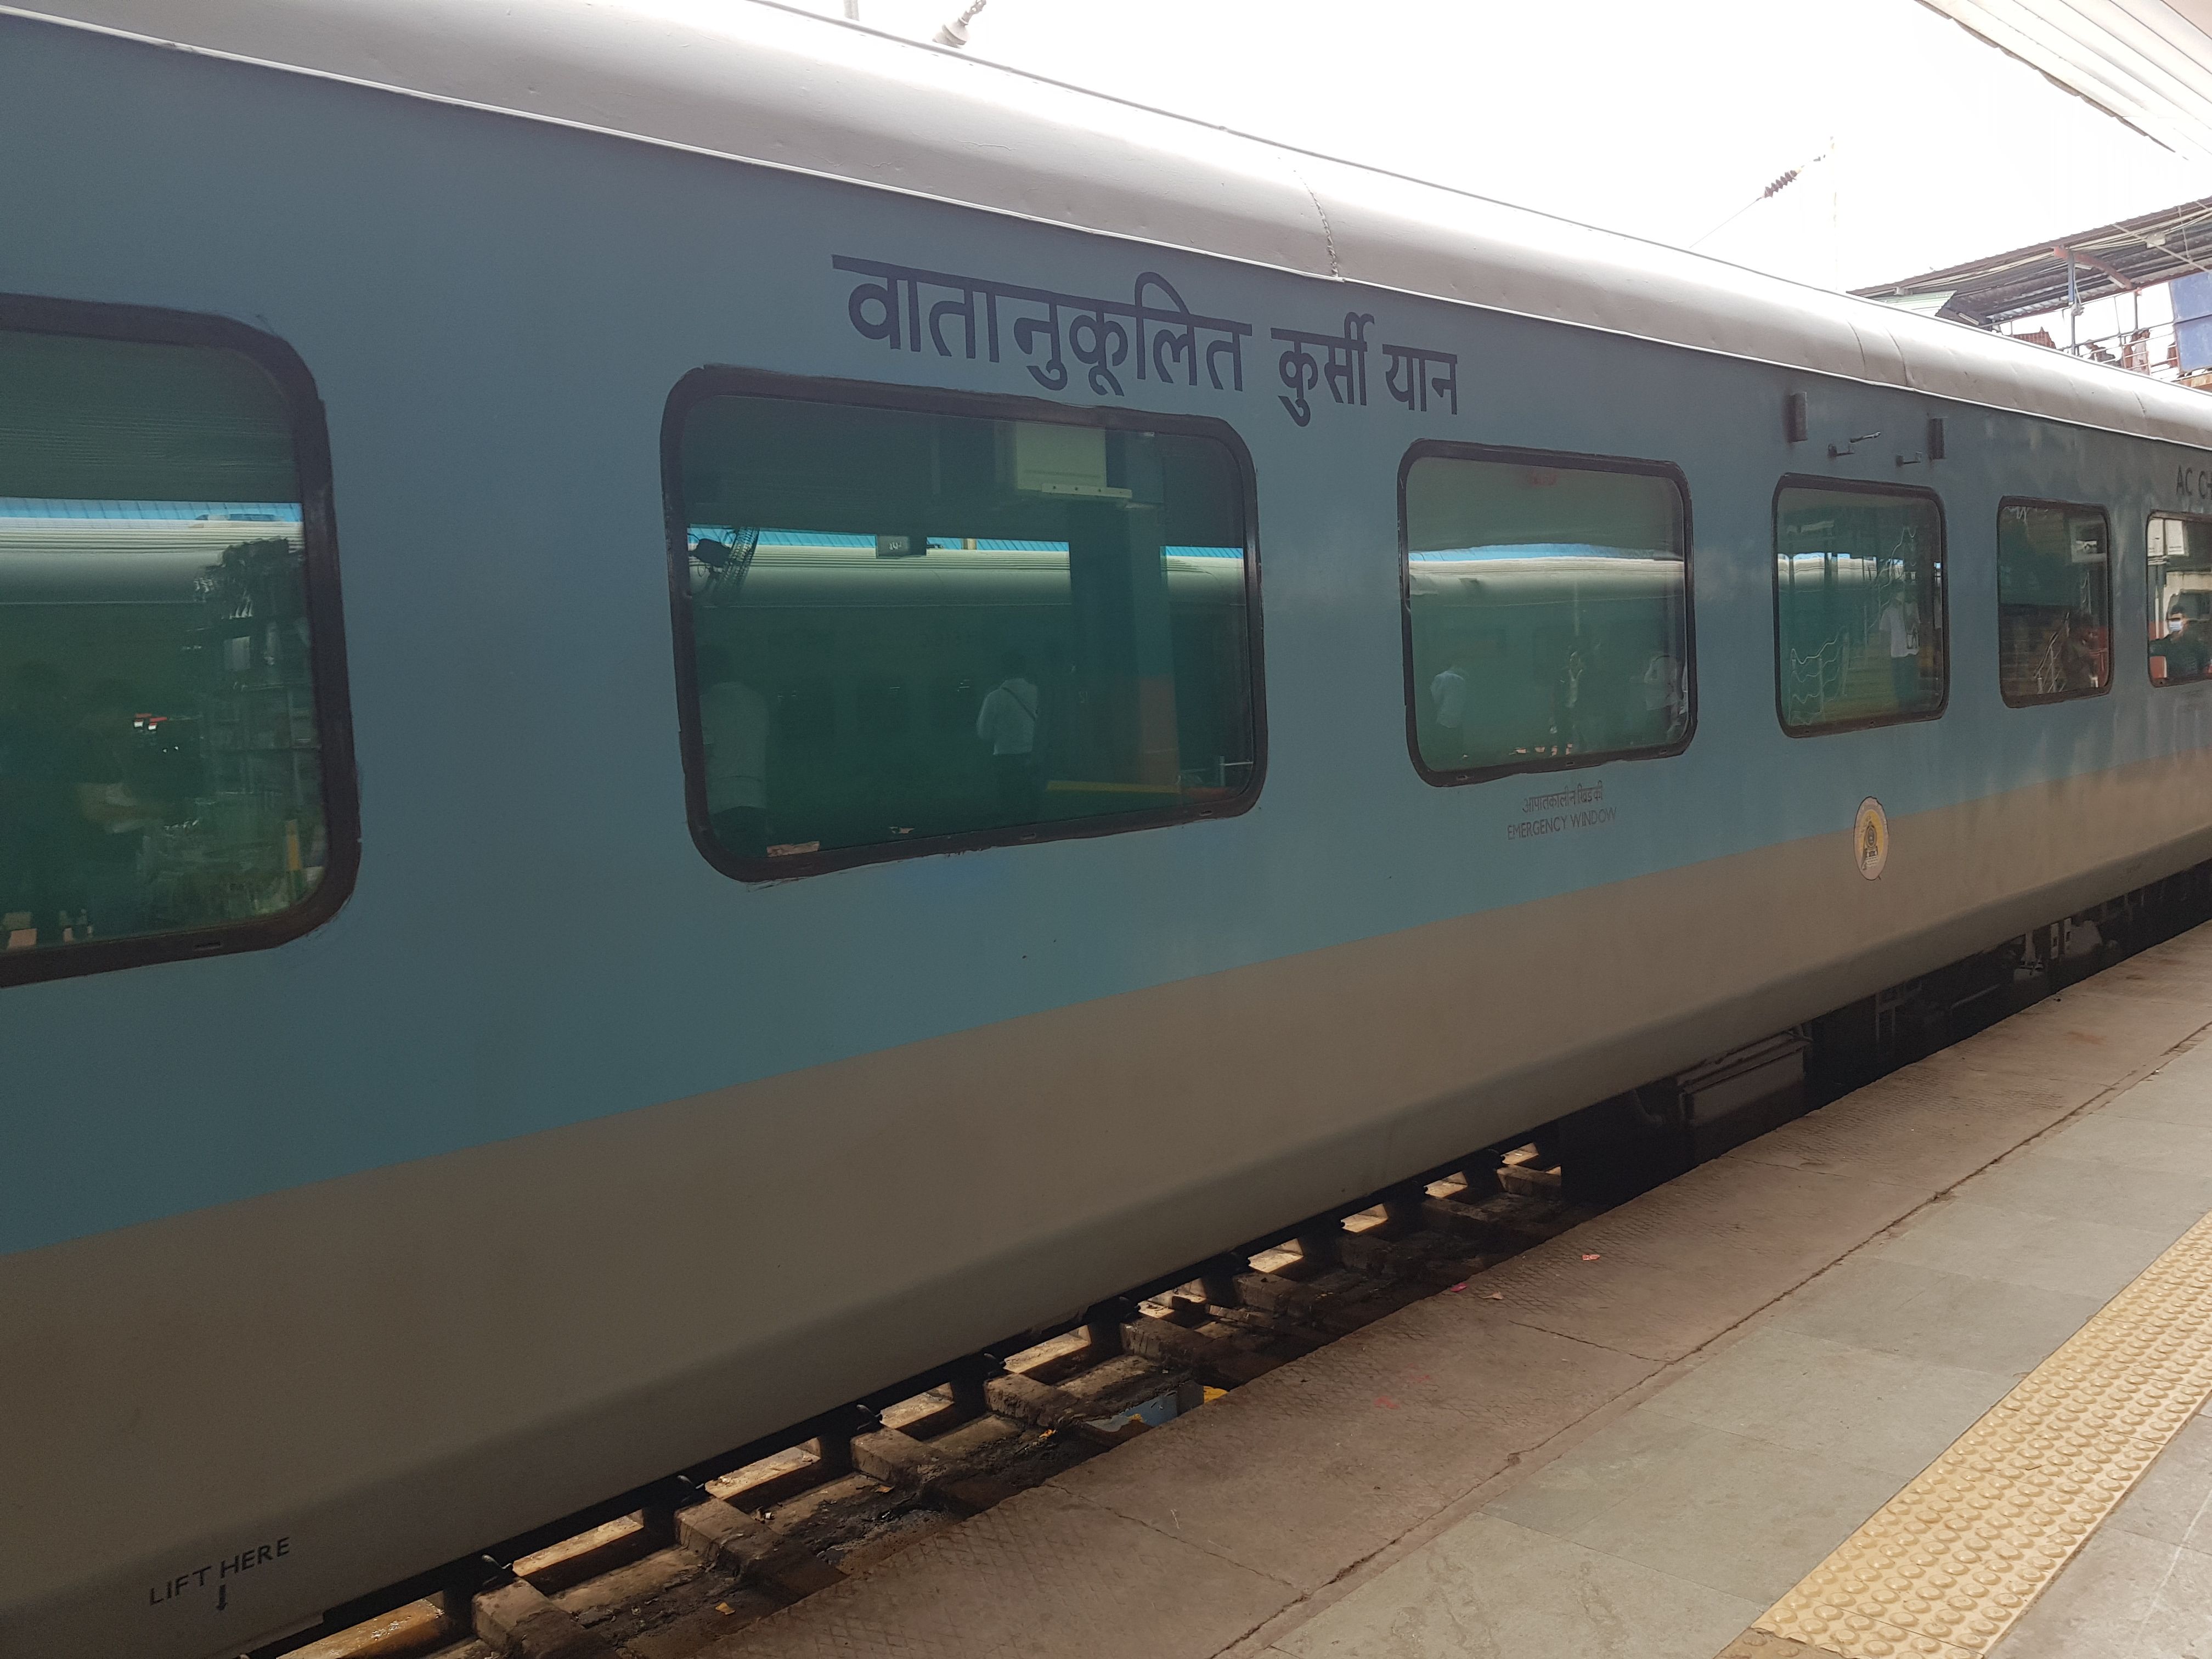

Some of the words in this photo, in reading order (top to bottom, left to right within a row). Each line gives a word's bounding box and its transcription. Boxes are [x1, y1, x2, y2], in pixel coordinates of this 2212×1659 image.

[832, 252, 1256, 399] वातानुकूलित
[1269, 305, 1379, 436] कुर्सी
[1380, 340, 1460, 415] यान
[1505, 813, 1568, 842] EMERGENCY
[1521, 783, 1578, 814] आपातकालीन
[1574, 777, 1606, 805] खिडकी
[1568, 805, 1618, 829] WINDOW
[216, 1533, 300, 1585] HERE
[142, 1561, 216, 1611] LIFT